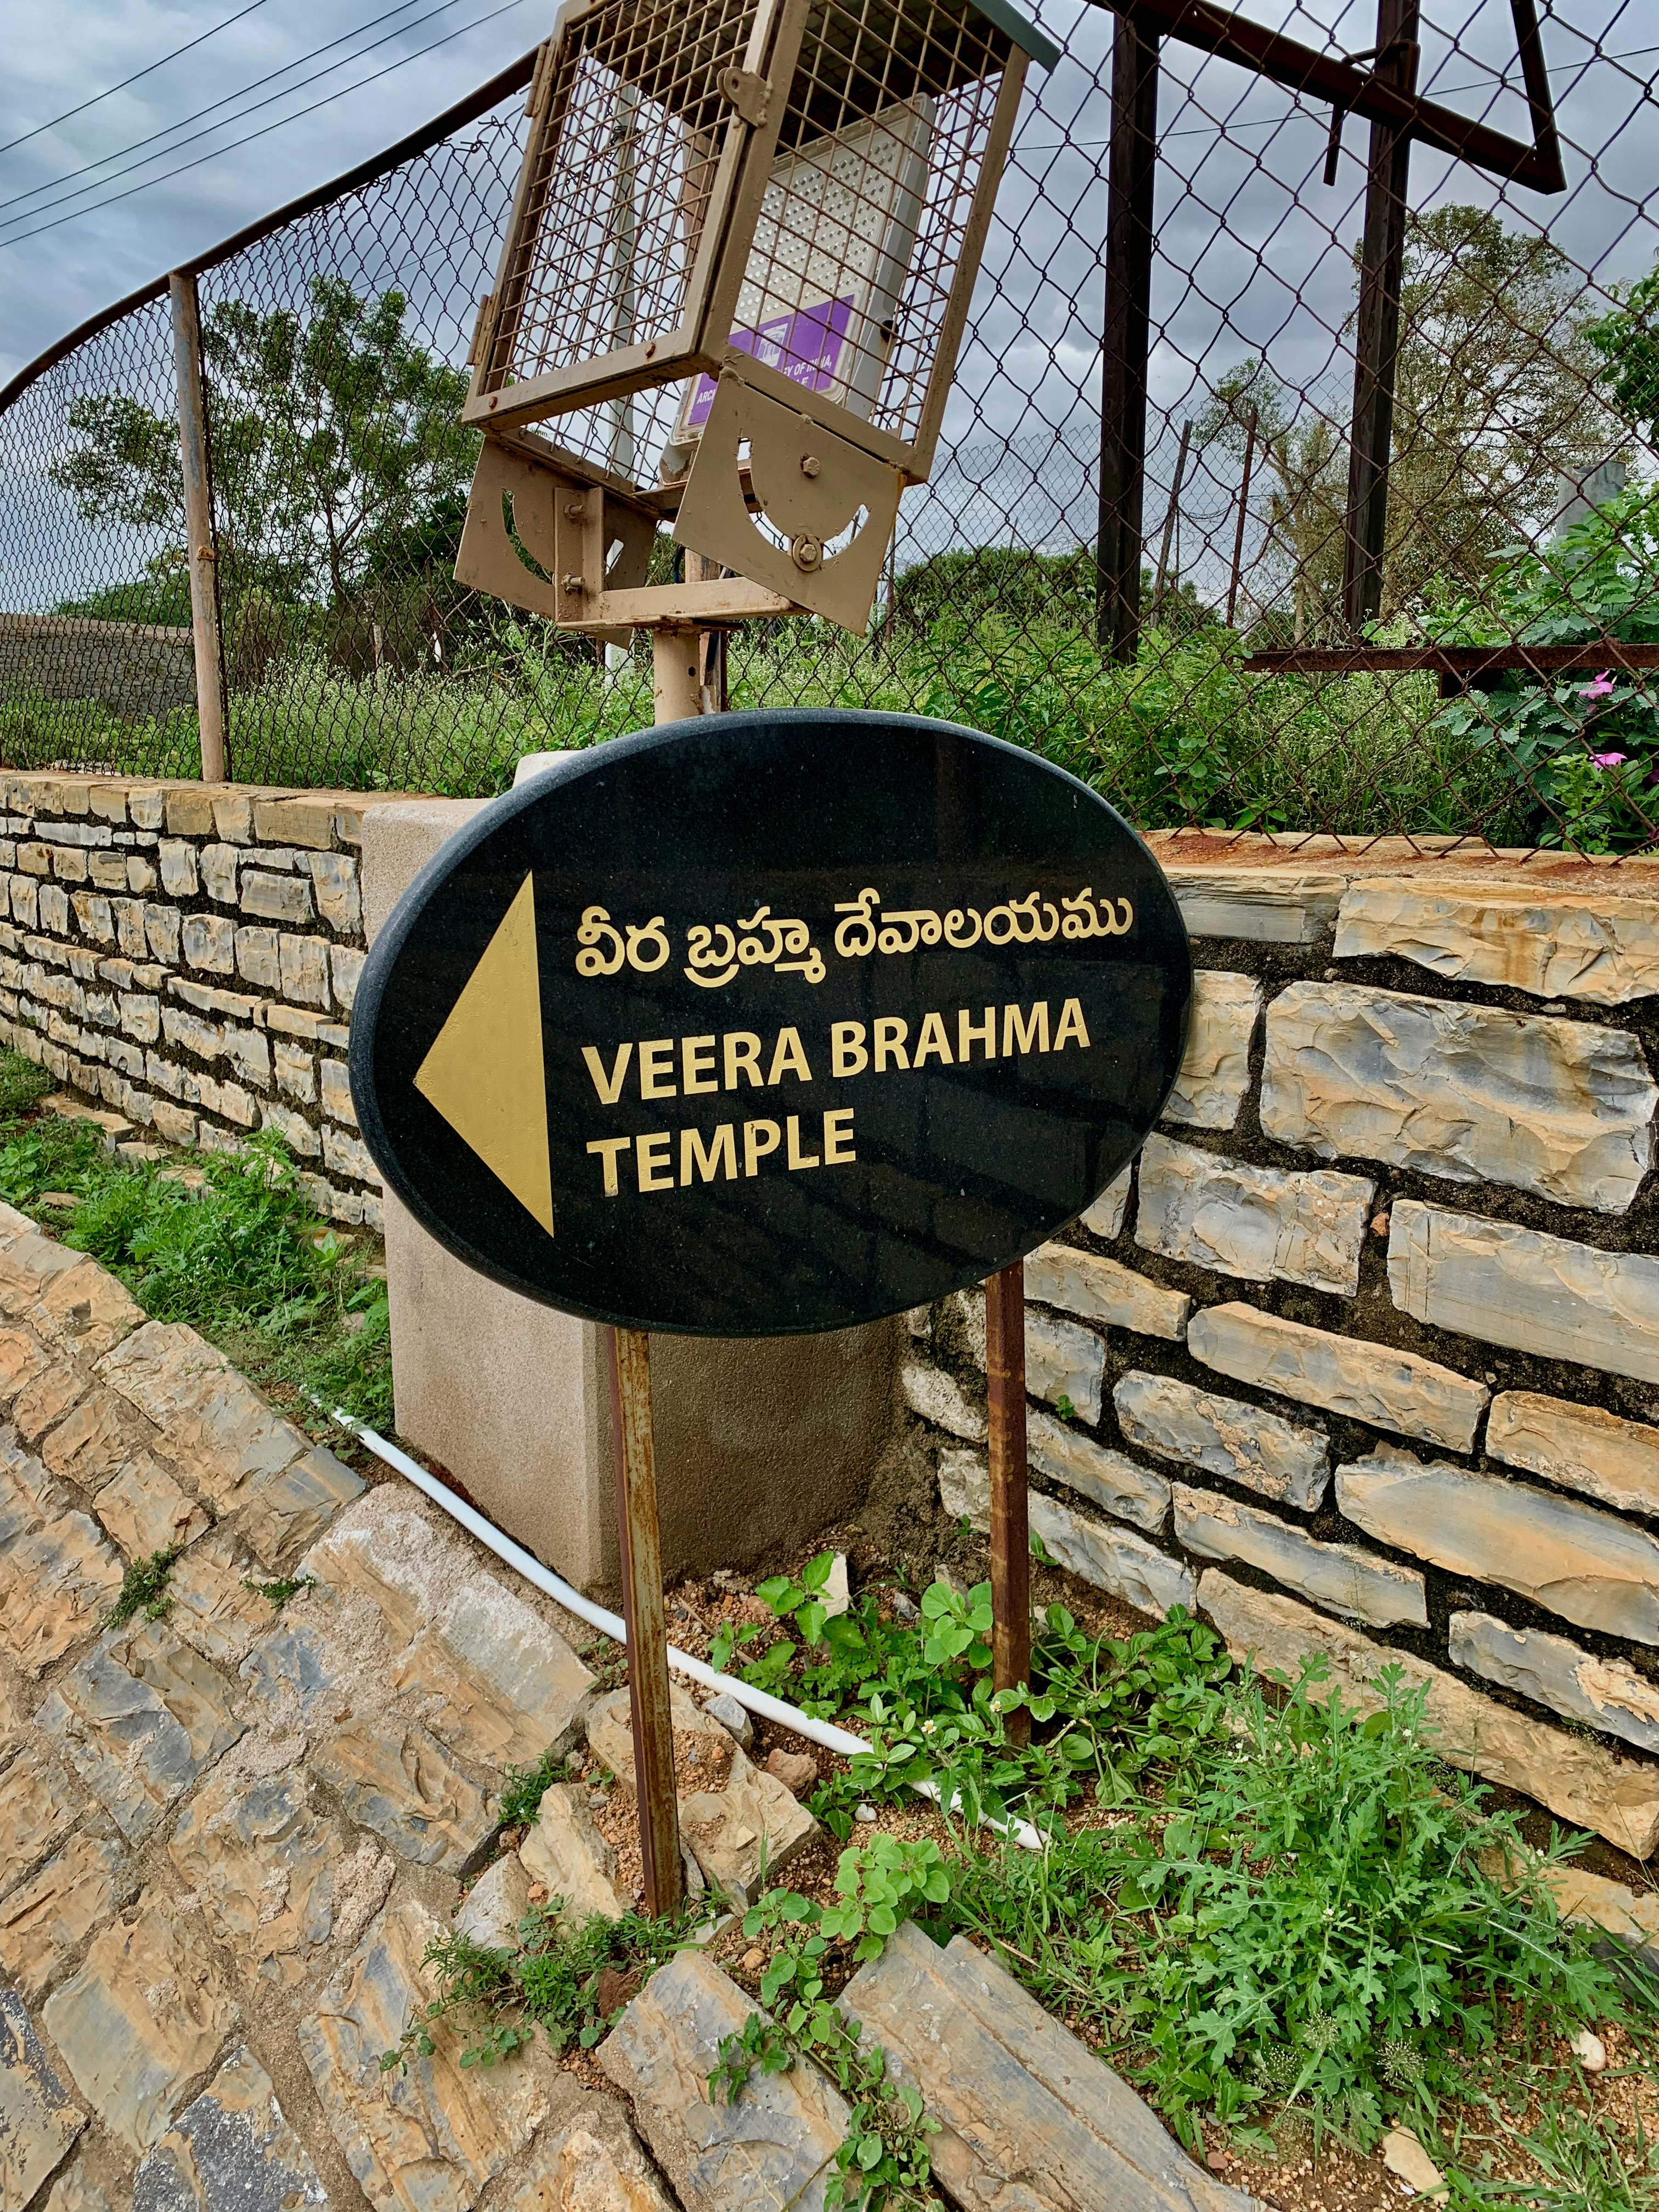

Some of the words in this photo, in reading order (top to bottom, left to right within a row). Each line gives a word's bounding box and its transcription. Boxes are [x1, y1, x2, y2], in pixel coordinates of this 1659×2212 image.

[557, 893, 835, 992] వీరబ్రహ్మ
[826, 882, 1144, 960] దేవాలయము
[569, 1024, 820, 1117] VEERA
[823, 993, 1095, 1086] BRAHMA
[577, 1104, 867, 1201] TEMPLE